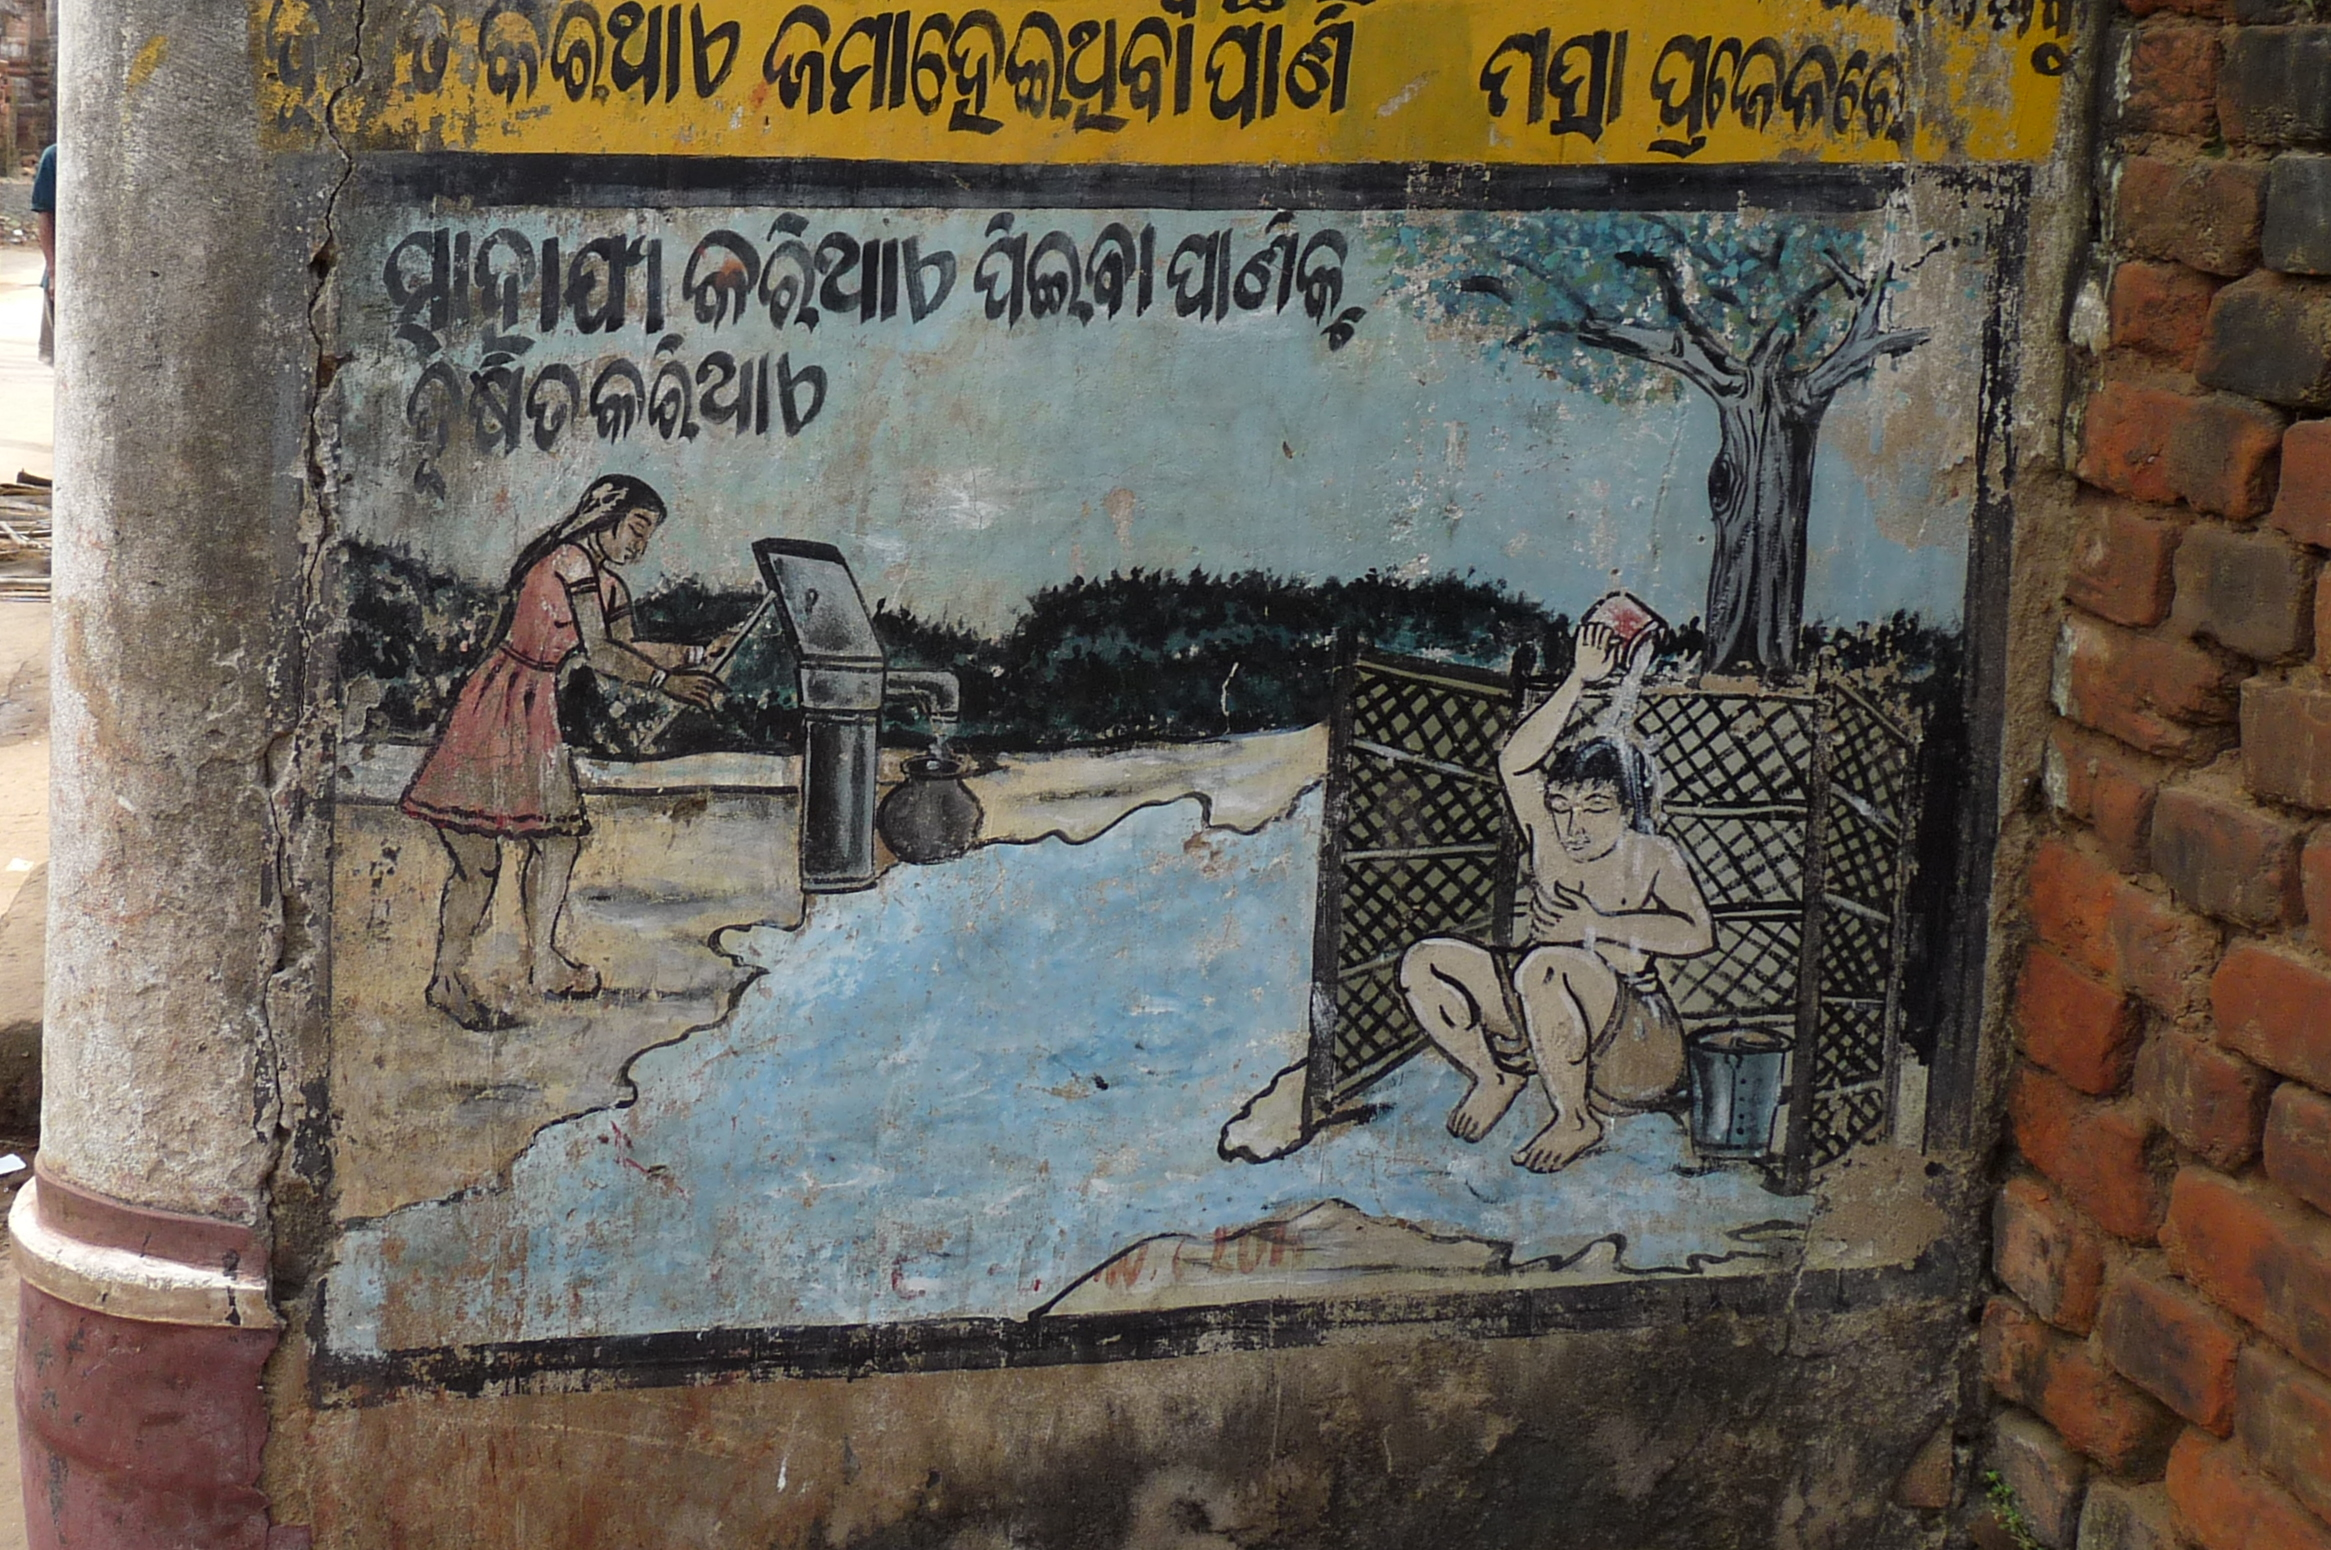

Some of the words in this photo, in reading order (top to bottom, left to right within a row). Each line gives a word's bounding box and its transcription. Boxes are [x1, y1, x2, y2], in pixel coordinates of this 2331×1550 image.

[752, 0, 1362, 146] ଜମାହେଇଥ‌ବା ପାଣି
[1469, 15, 1630, 147] ମହା
[1636, 24, 1922, 170] ପ୍ରଜେନରେ
[362, 206, 678, 378] ସାଦାଯା
[674, 186, 970, 354] କରିଥାଏ
[957, 206, 1161, 339] ପିଇବା
[1150, 194, 1382, 370] ପାଣିକୁ